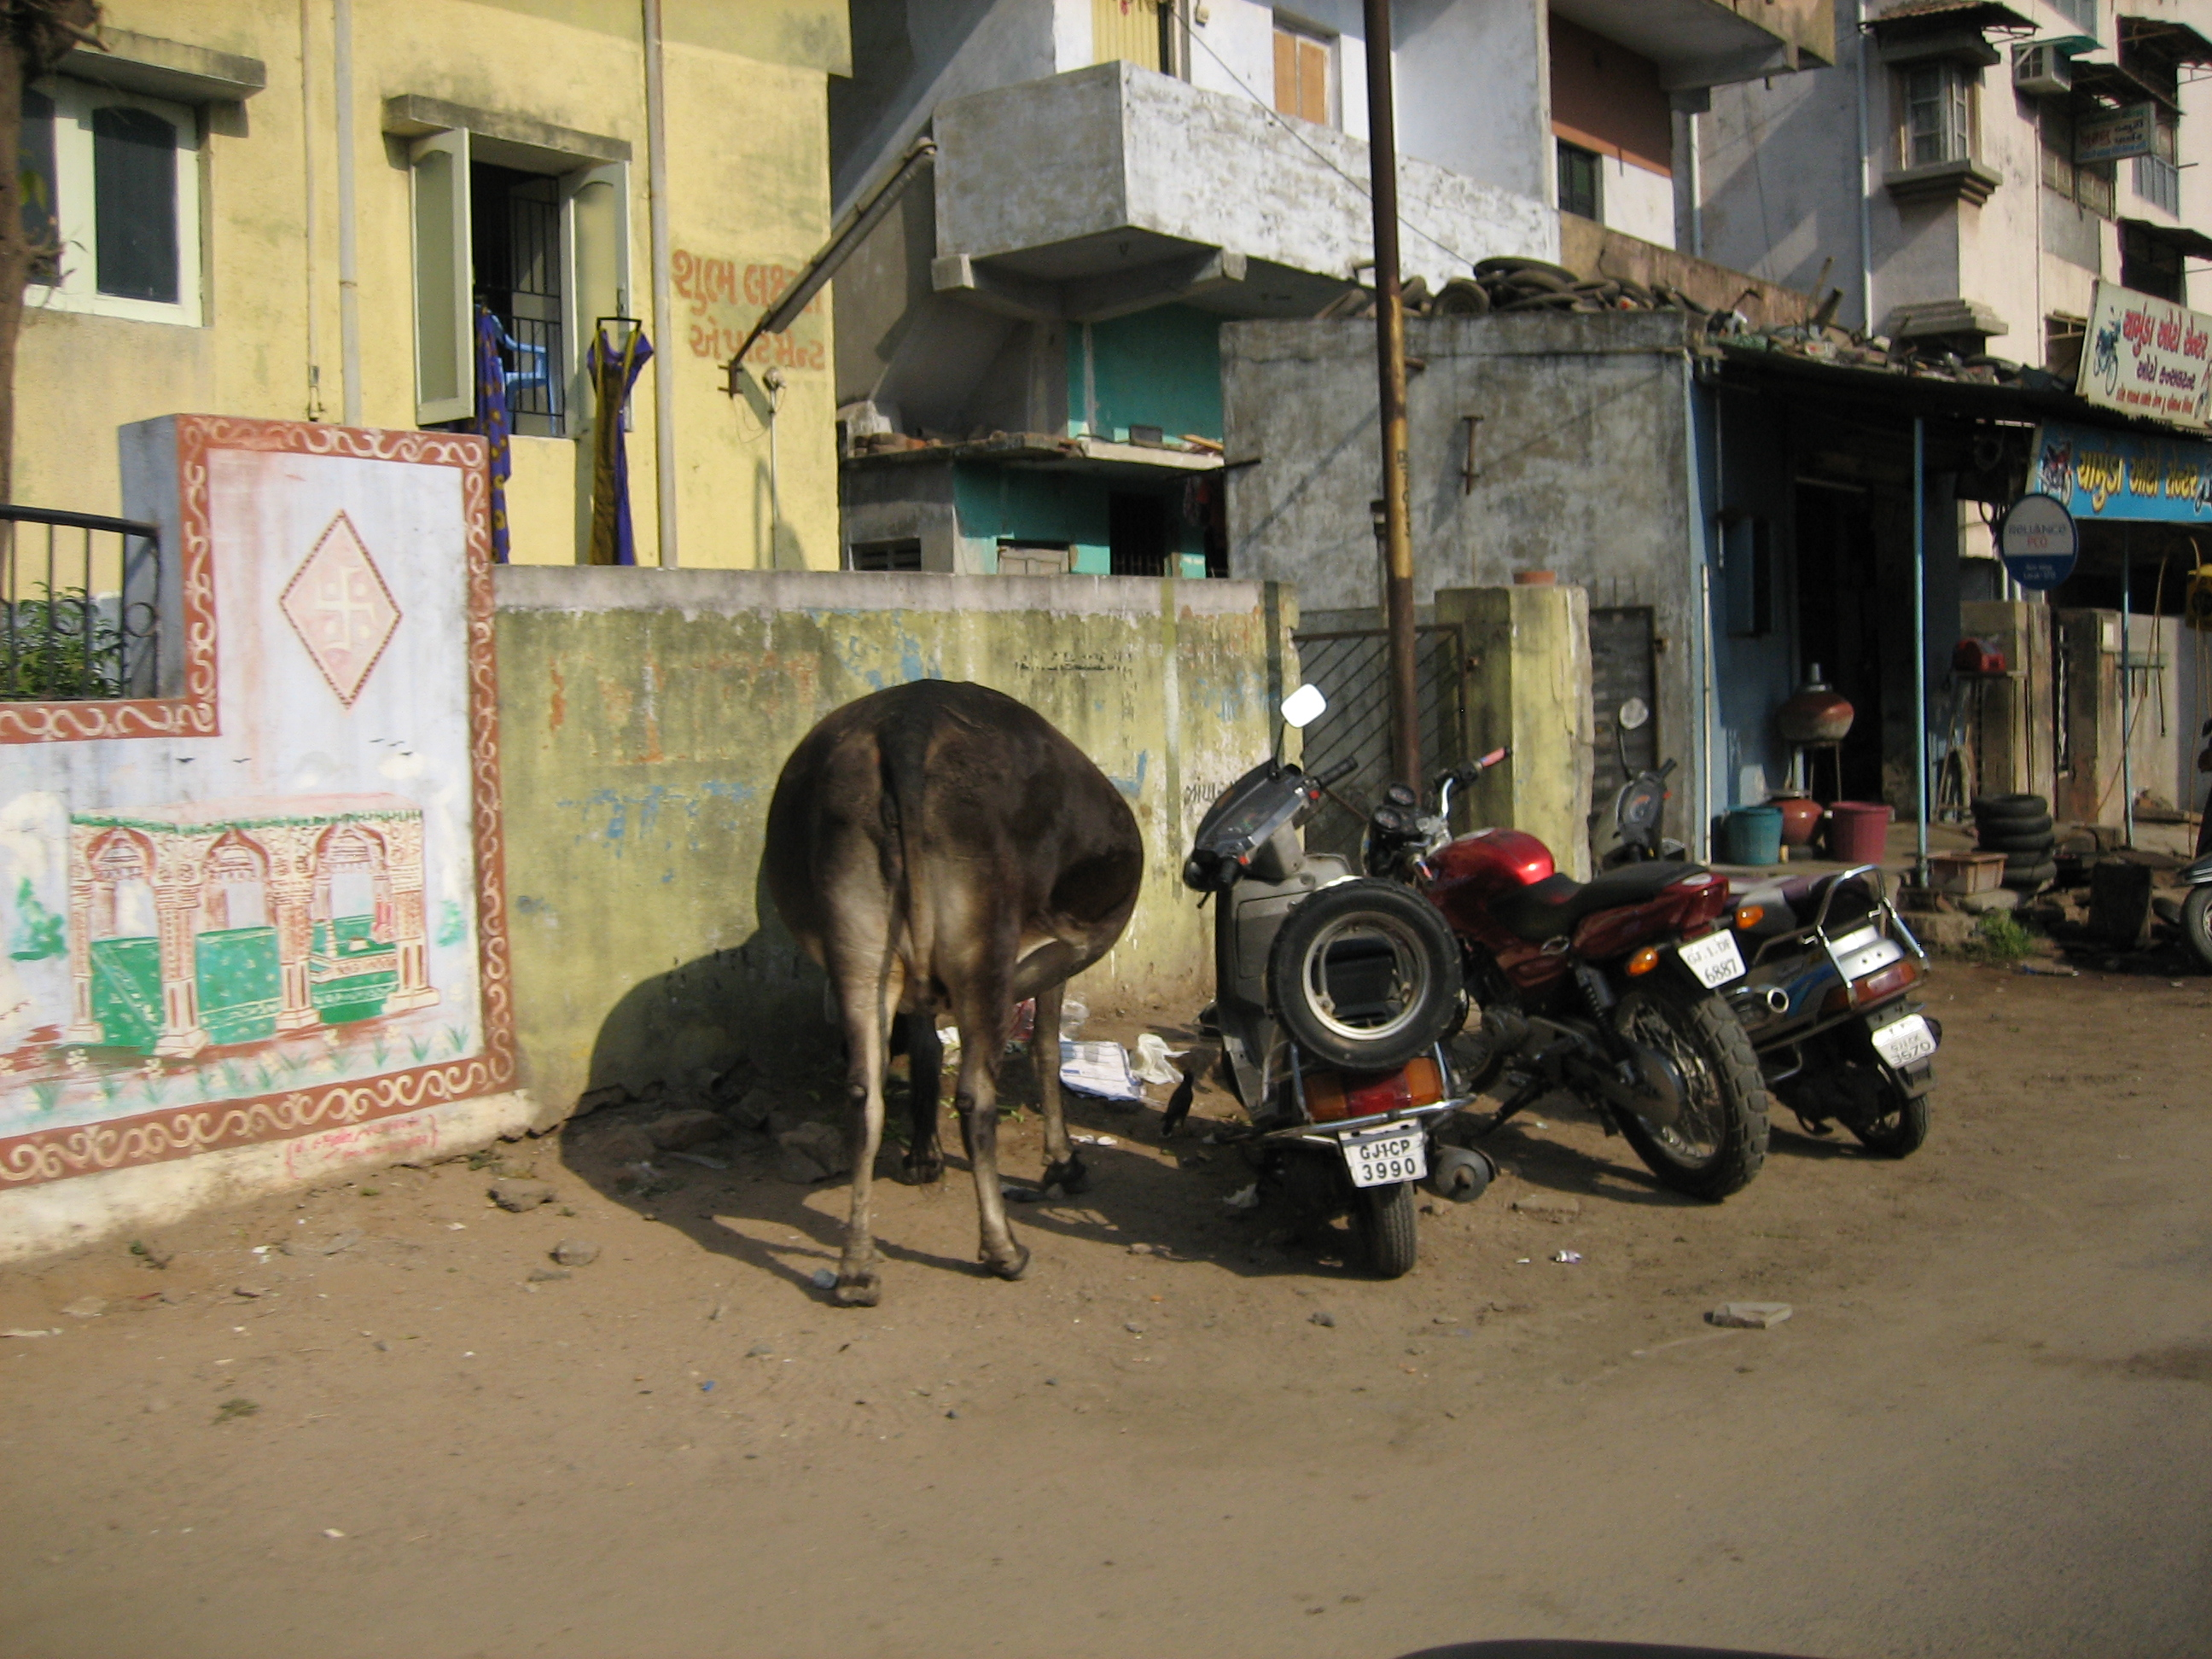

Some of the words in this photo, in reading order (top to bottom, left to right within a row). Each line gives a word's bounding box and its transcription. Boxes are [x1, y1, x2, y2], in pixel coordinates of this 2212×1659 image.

[1362, 1154, 1418, 1181] 3990